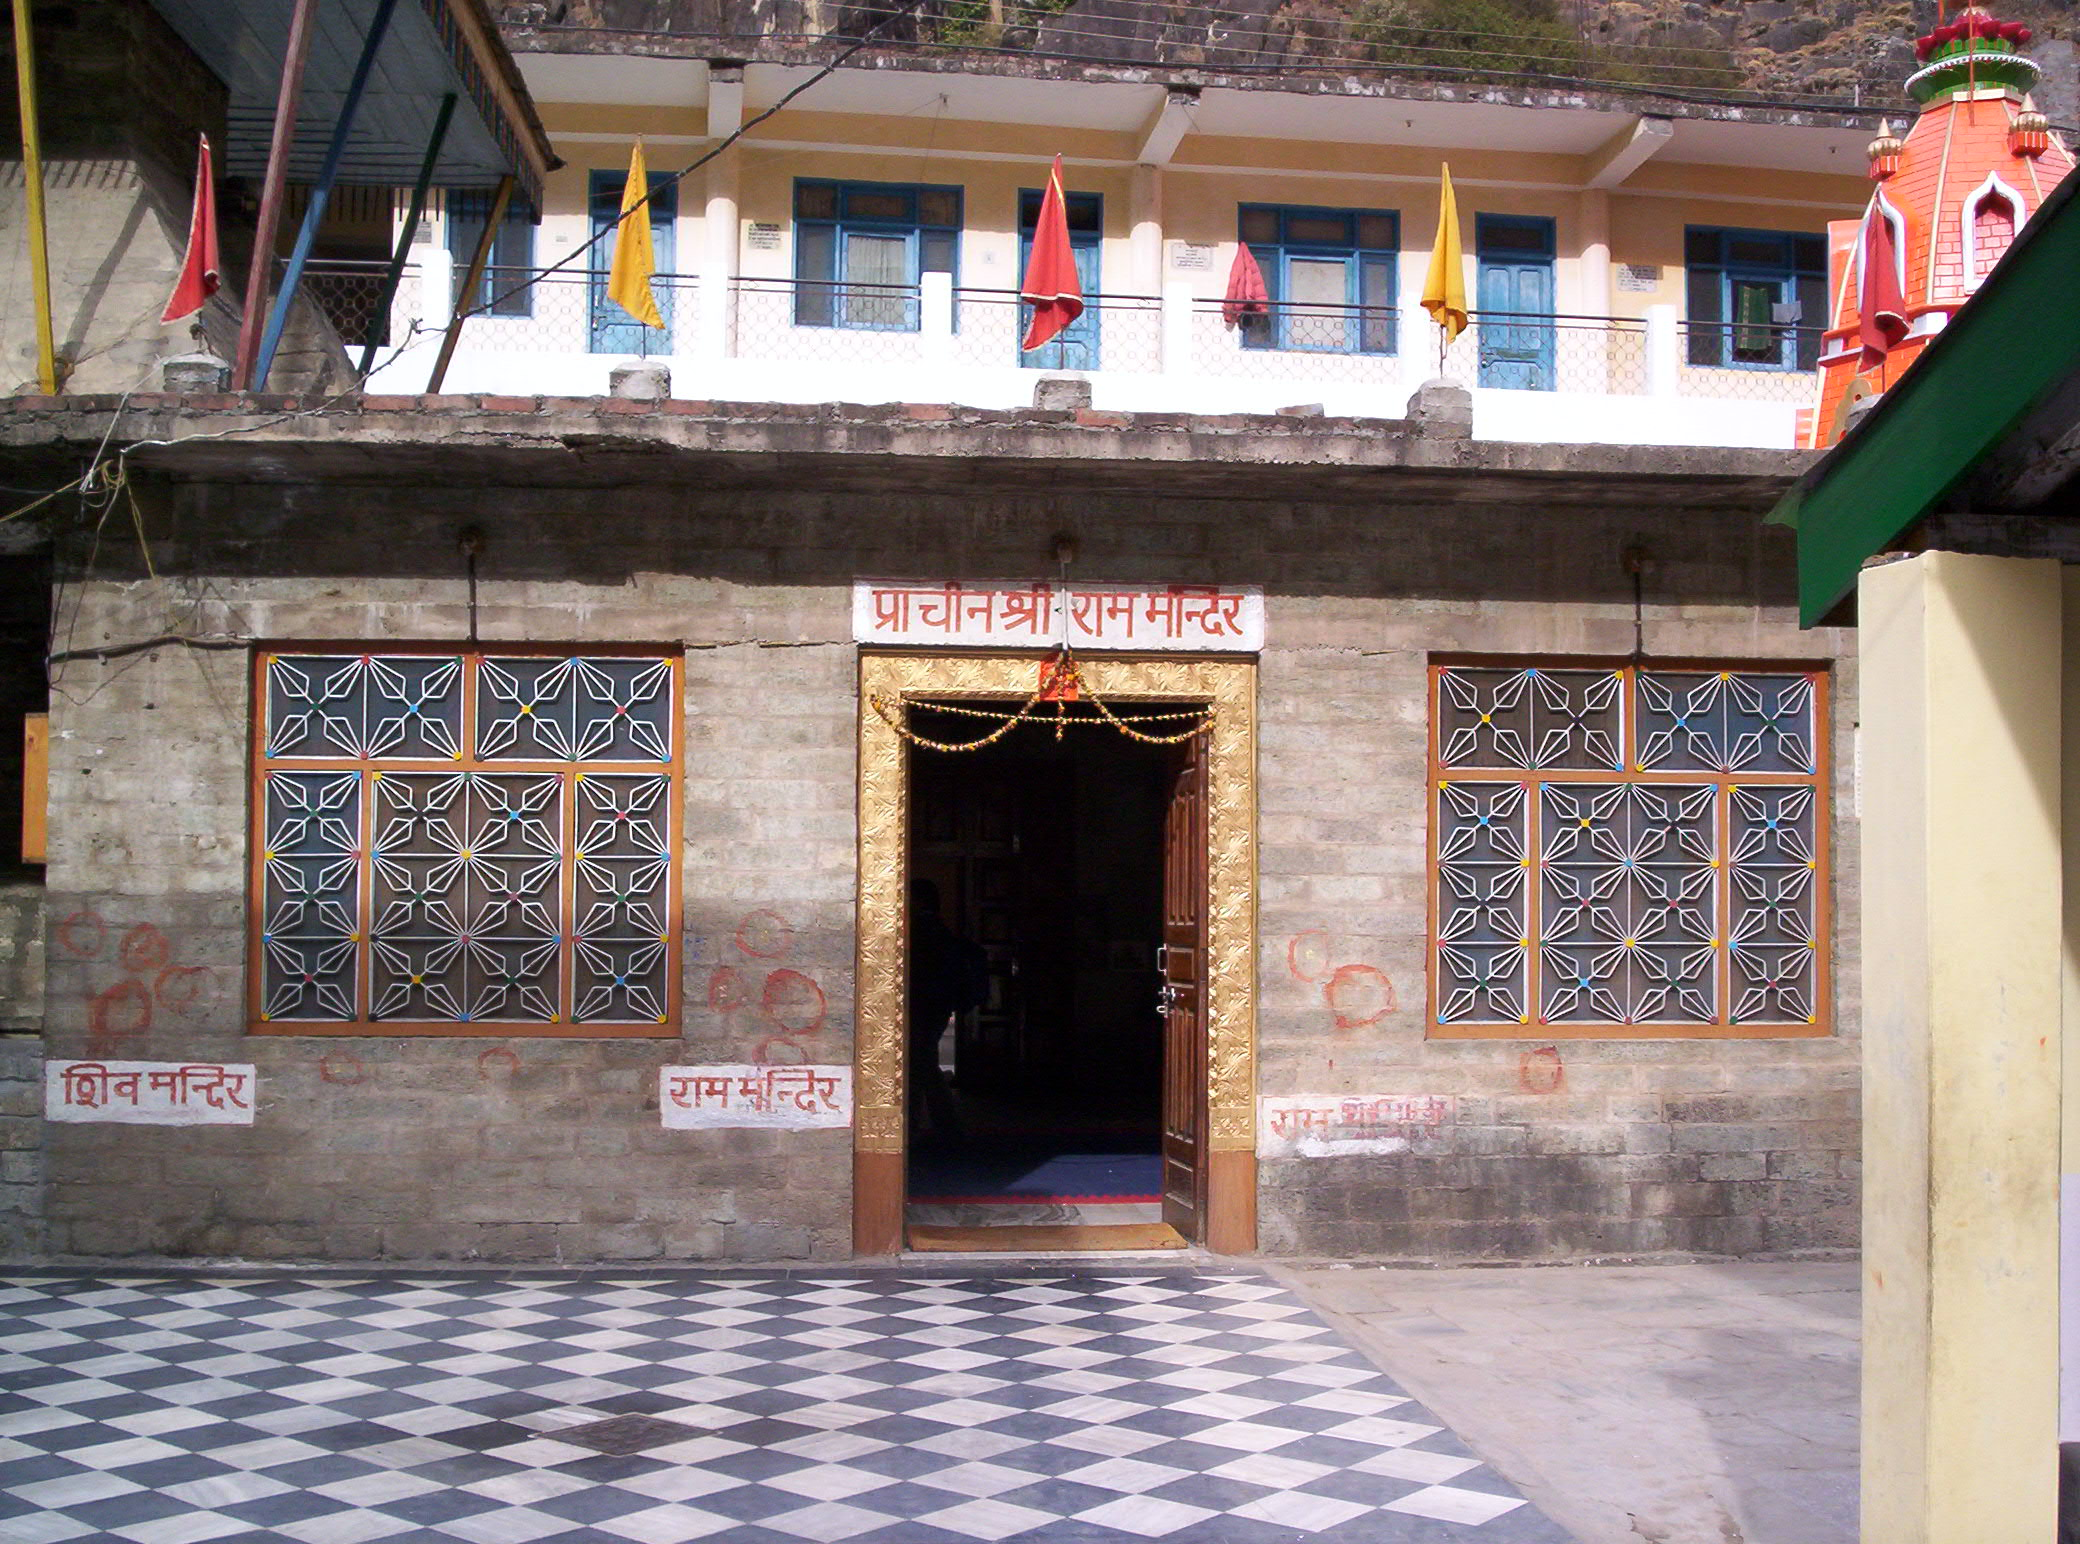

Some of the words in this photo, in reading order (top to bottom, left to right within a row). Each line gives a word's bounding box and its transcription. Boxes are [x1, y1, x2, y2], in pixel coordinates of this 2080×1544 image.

[870, 575, 998, 635] प्राचीन
[999, 577, 1056, 639] श्री
[1071, 590, 1142, 641] राम
[1144, 580, 1246, 639] मन्दिर
[57, 1059, 145, 1113] शिव
[145, 1063, 251, 1115] मन्दिर
[669, 1073, 735, 1113] राम
[737, 1065, 843, 1115] मन्दिर
[1271, 1106, 1334, 1143] राम